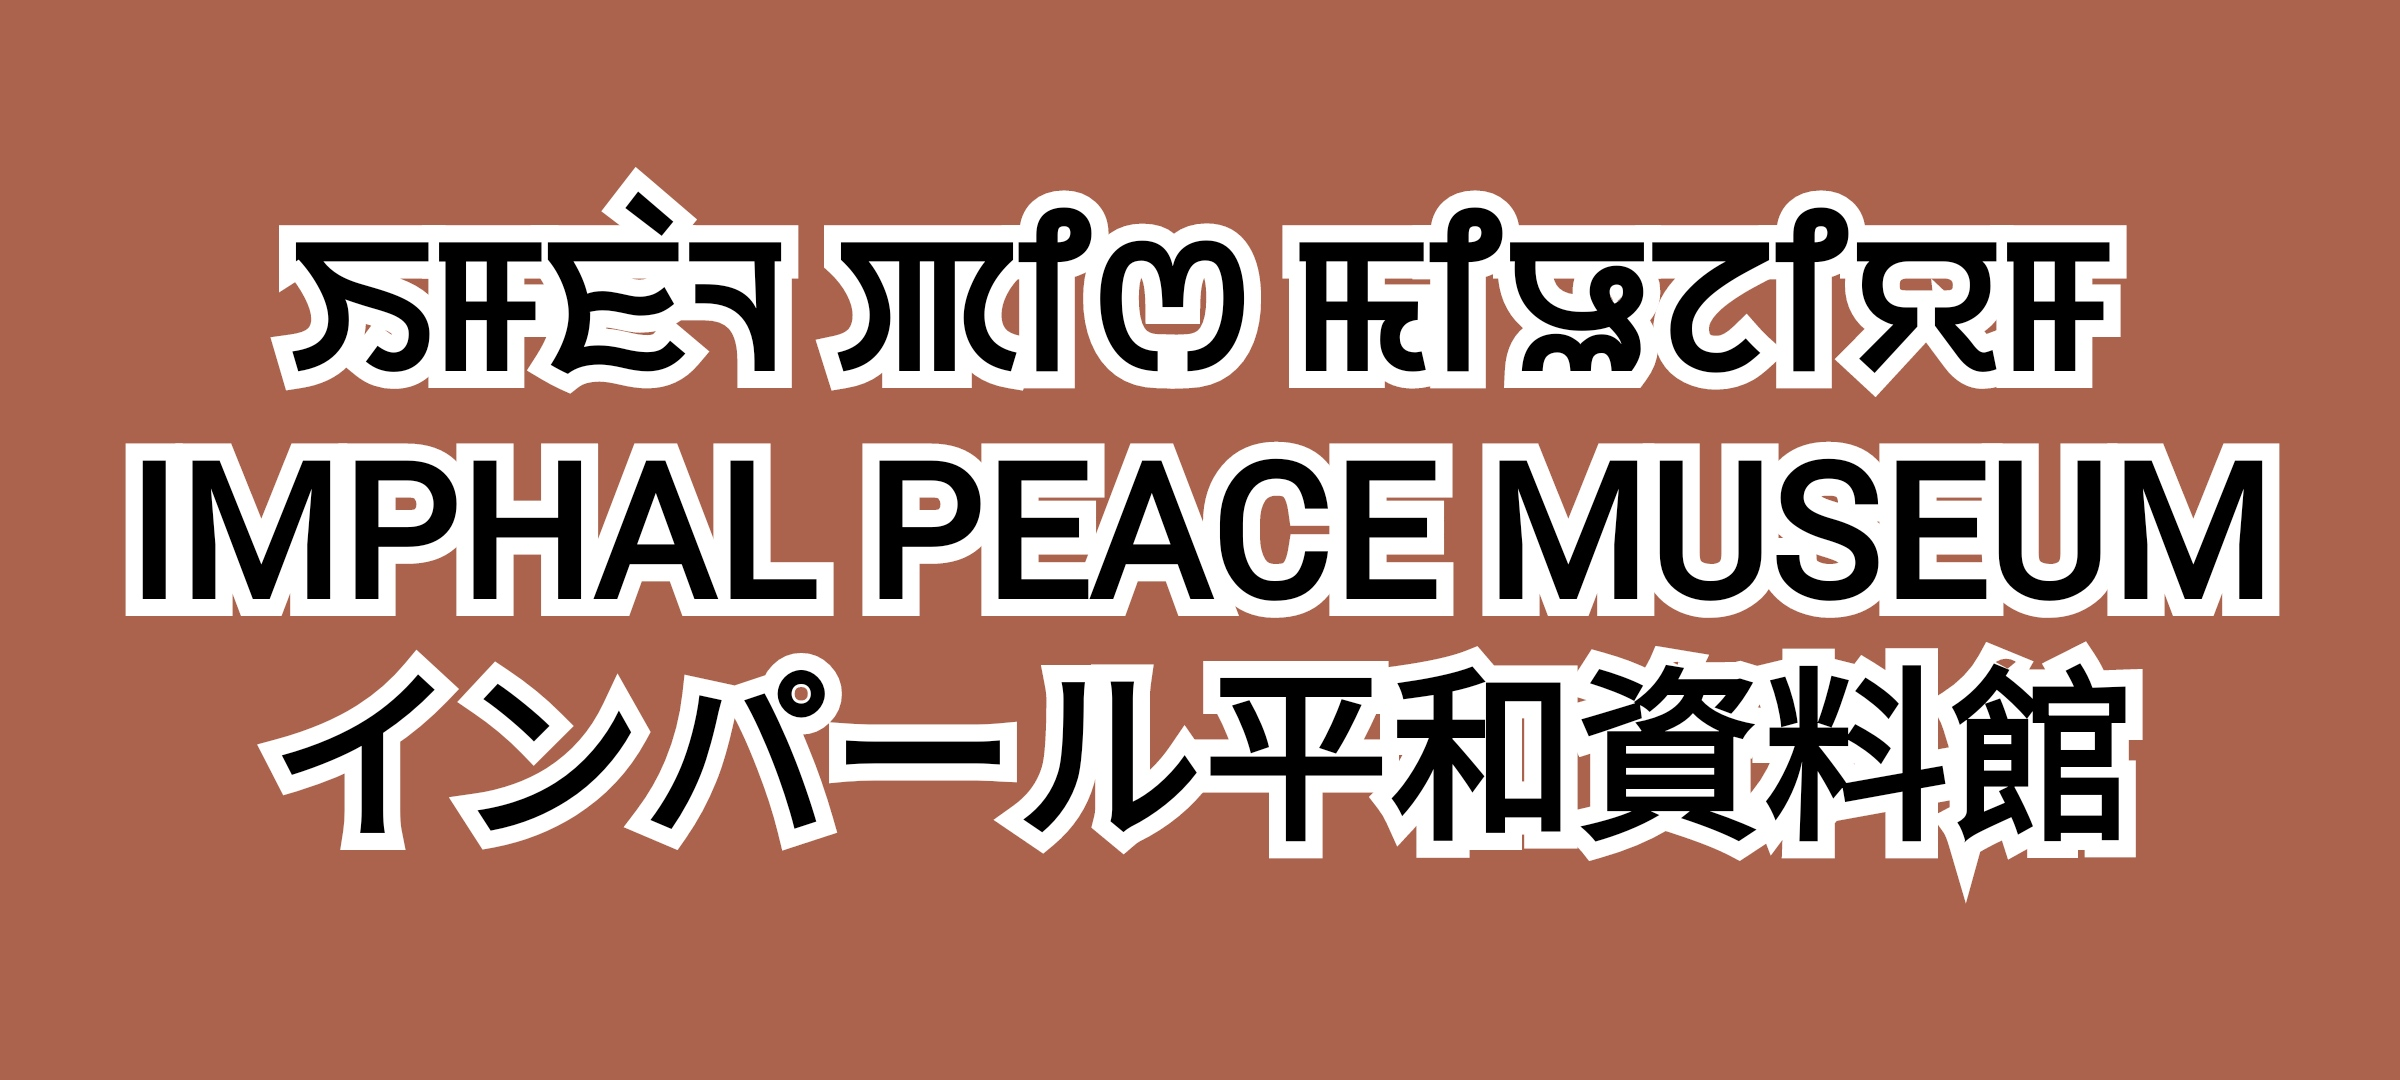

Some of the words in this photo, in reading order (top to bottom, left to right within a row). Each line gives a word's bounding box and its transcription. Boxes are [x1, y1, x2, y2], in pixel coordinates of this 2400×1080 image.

[253, 168, 815, 398] ꯏꯝꯐꯥꯜ
[811, 191, 1259, 402] ꯄꯤꯁ
[1270, 172, 2140, 400] ꯃꯤꯎꯖꯤꯌꯝ
[110, 430, 847, 628] IMPHAL
[843, 423, 1467, 627] PEACE
[1465, 433, 2292, 630] MUSEUM